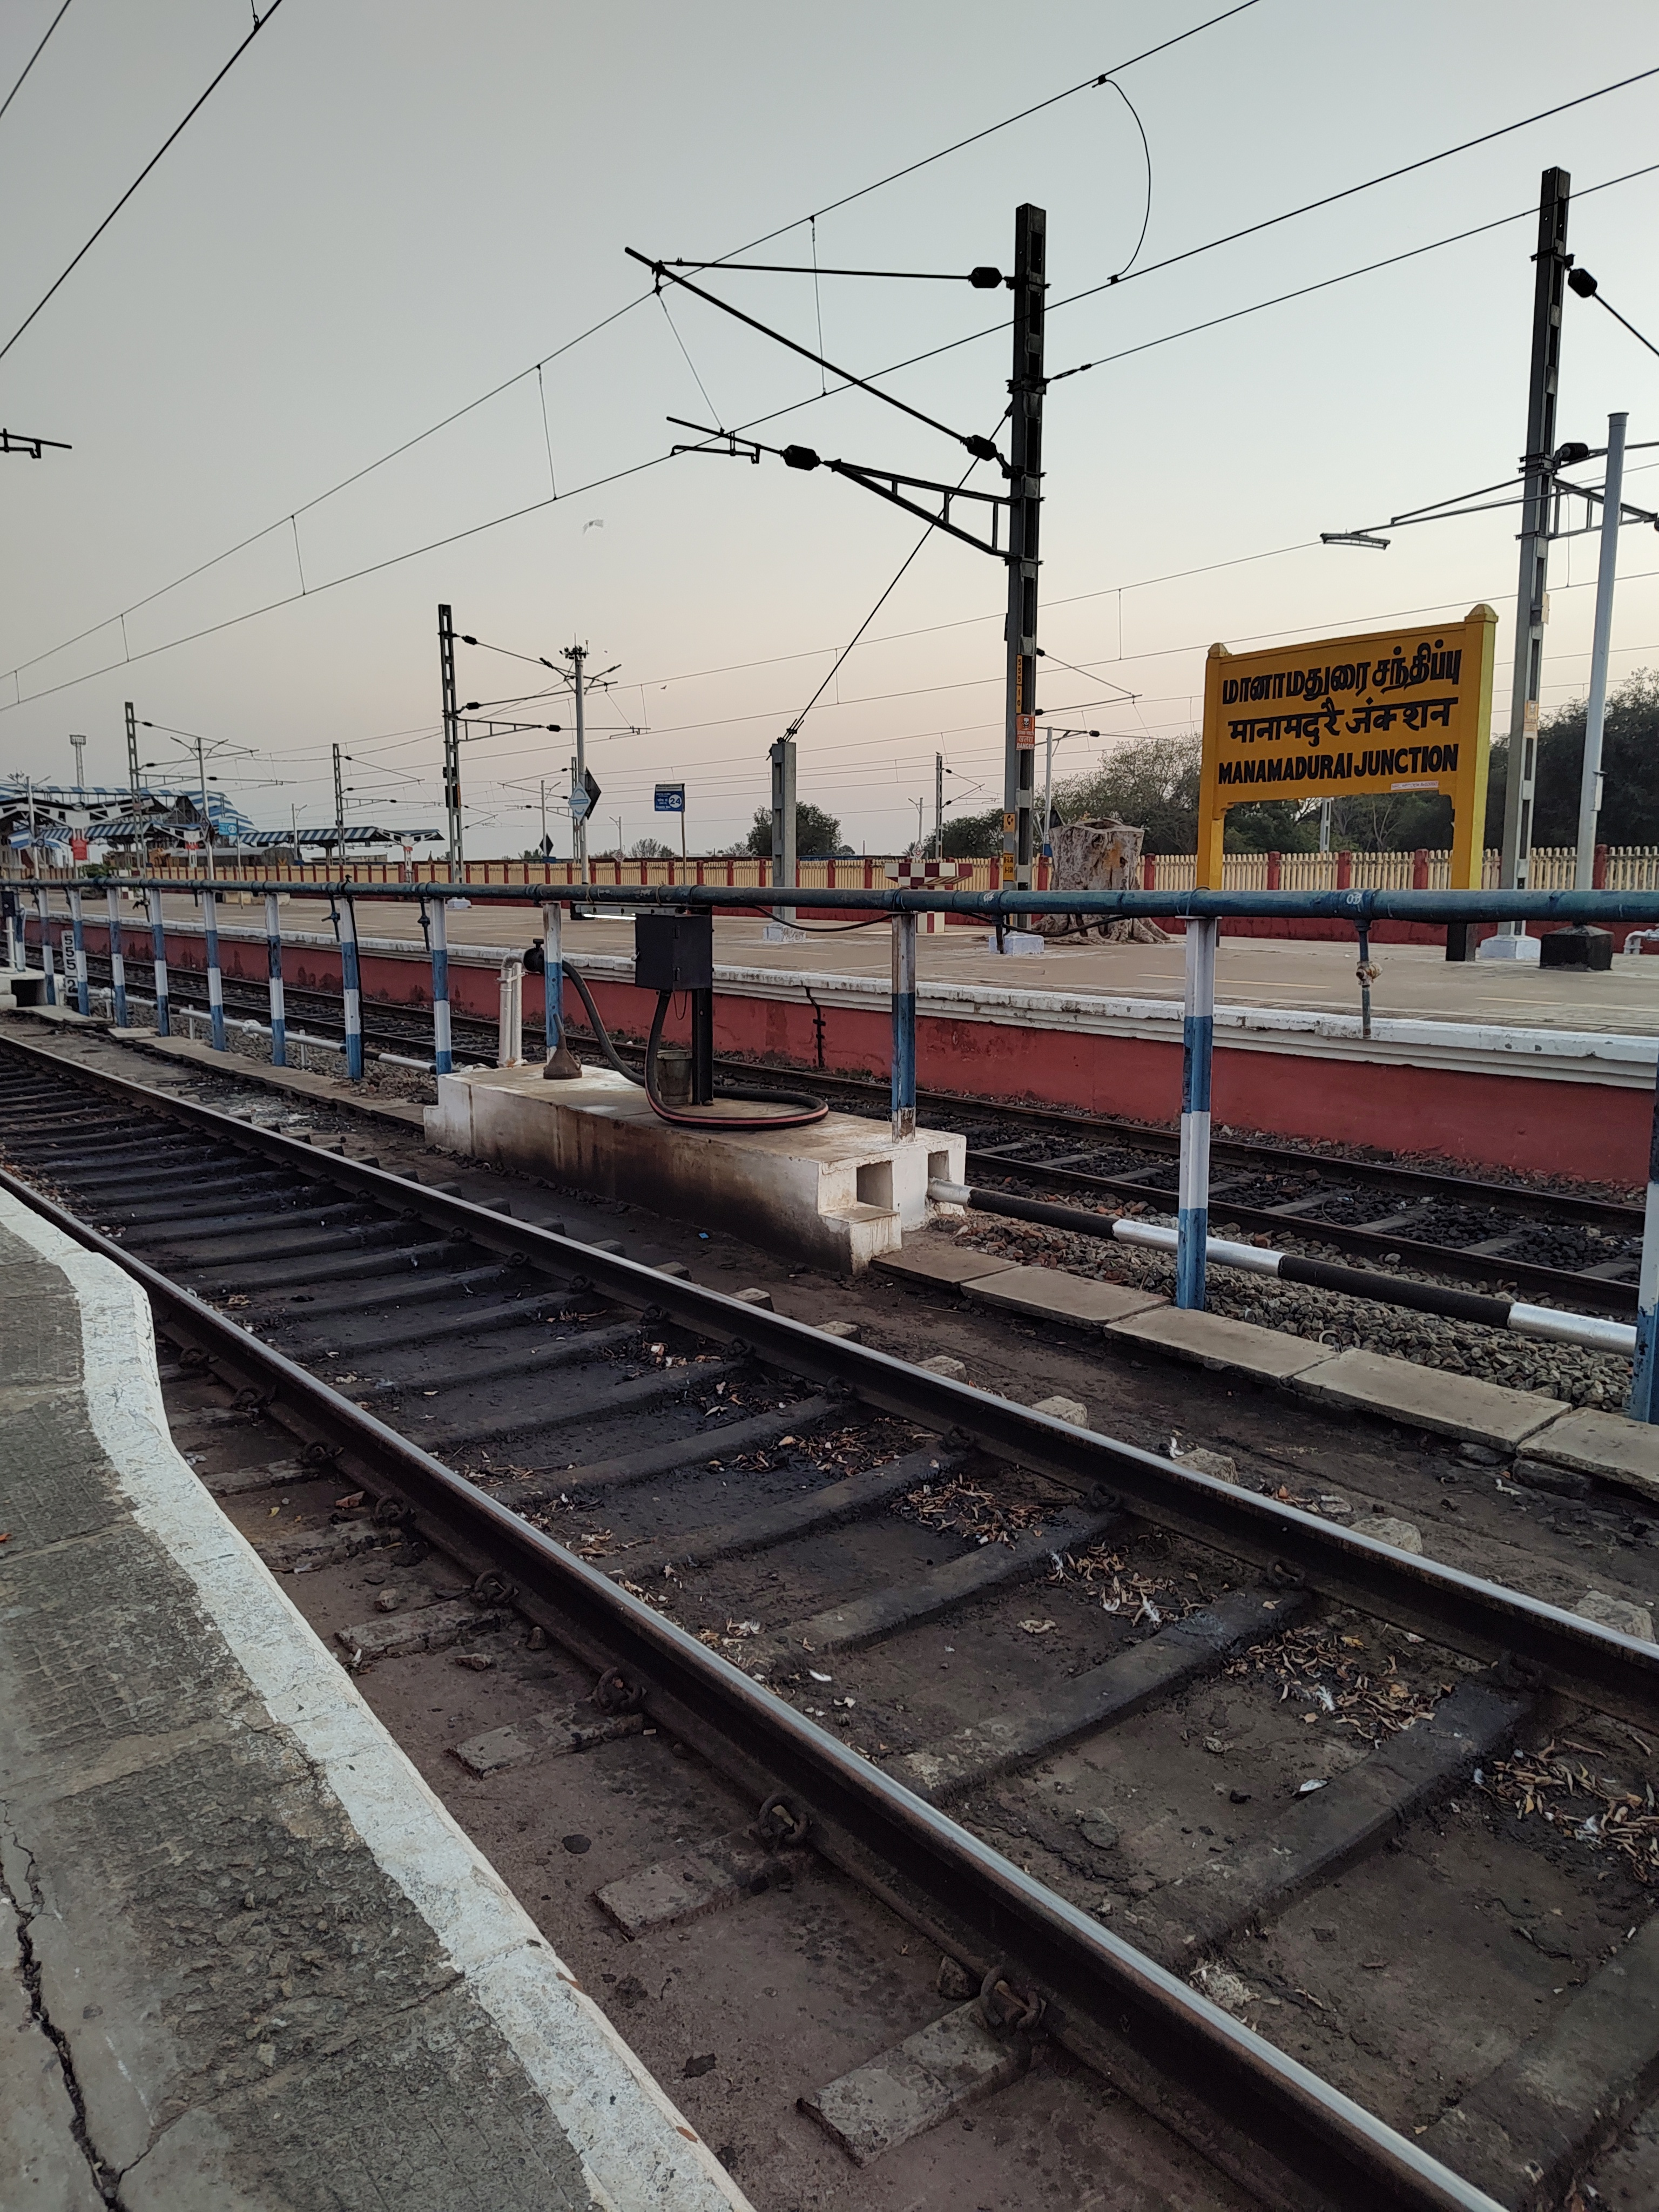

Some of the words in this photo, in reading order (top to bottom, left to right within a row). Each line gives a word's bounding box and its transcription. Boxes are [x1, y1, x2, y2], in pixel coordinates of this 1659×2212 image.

[1212, 653, 1375, 706] மானாமதுரை
[1363, 632, 1469, 697] சந்திப்பு
[1219, 689, 1352, 753] मानामदुरै
[1335, 688, 1466, 742] जंक्शन
[1212, 741, 1355, 793] MANAMADURAI
[1343, 737, 1468, 785] IJUNCTION